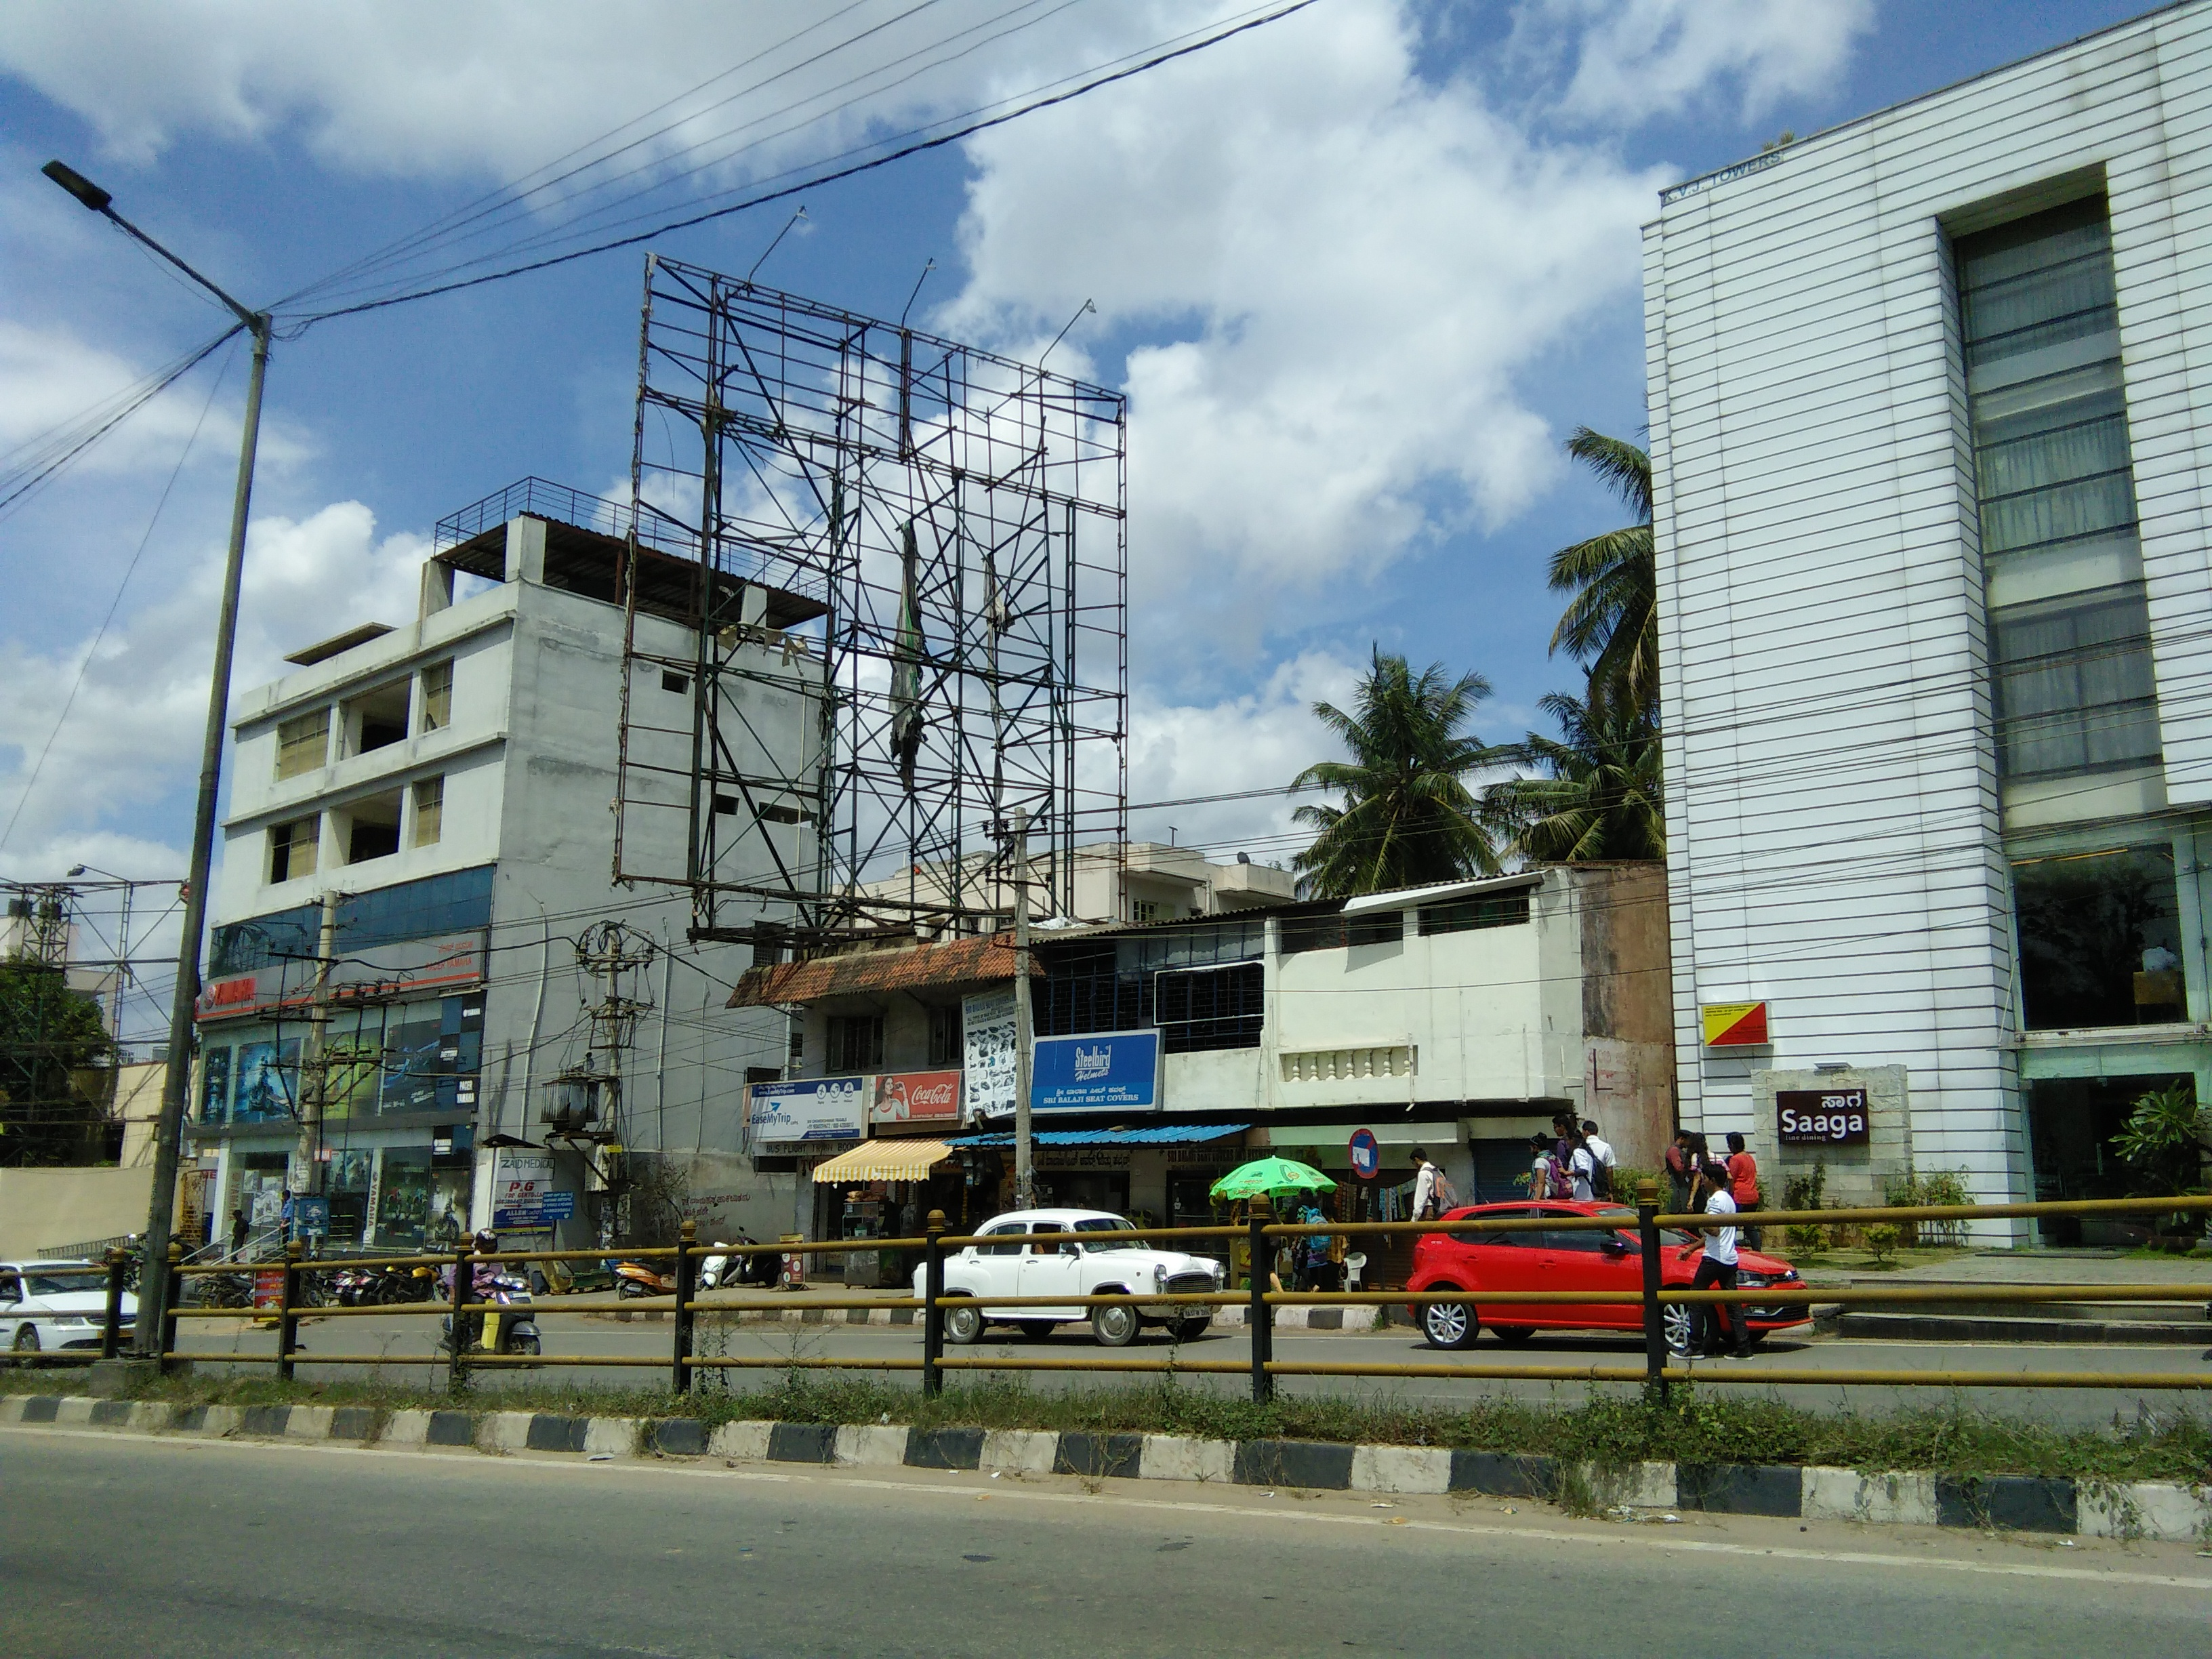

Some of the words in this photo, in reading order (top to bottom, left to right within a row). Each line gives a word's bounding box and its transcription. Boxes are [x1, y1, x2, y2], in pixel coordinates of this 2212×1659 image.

[442, 952, 475, 971] YAMAHA
[199, 974, 257, 1015] SUMAHA
[1070, 1040, 1114, 1071] Steelbird
[1070, 1062, 1113, 1086] Helmets
[908, 1078, 958, 1107] Coca-Cola
[1036, 1094, 1059, 1107] SRI
[1053, 1086, 1067, 1097] ಶ್ರೀ
[1055, 1094, 1087, 1107] BALAJI
[1061, 1085, 1090, 1097] ಬಾಲಾಜಿ
[1083, 1091, 1108, 1105] SEAT
[1084, 1084, 1109, 1096] ಸೀಟ್
[1104, 1084, 1130, 1094] ಕವಲ್ಸ್
[1105, 1092, 1142, 1105] COVERS
[1816, 1087, 1866, 1112] ಸಾಗ
[749, 1108, 794, 1126] EaseMyTrip
[1780, 1107, 1866, 1143] Saaga
[1780, 1132, 1804, 1147] fine
[1799, 1132, 1829, 1146] dining
[498, 1156, 525, 1172] ZAID
[523, 1155, 556, 1173] ೧೬೦೦
[1109, 1149, 1133, 1169] ಹಲ್ಲಟ್
[1164, 1146, 1179, 1166] SRI
[1174, 1146, 1199, 1165] BALAJI
[1194, 1146, 1238, 1164] SEAT COVERS
[505, 1177, 539, 1196] P.G
[501, 1207, 528, 1218] ALLEN